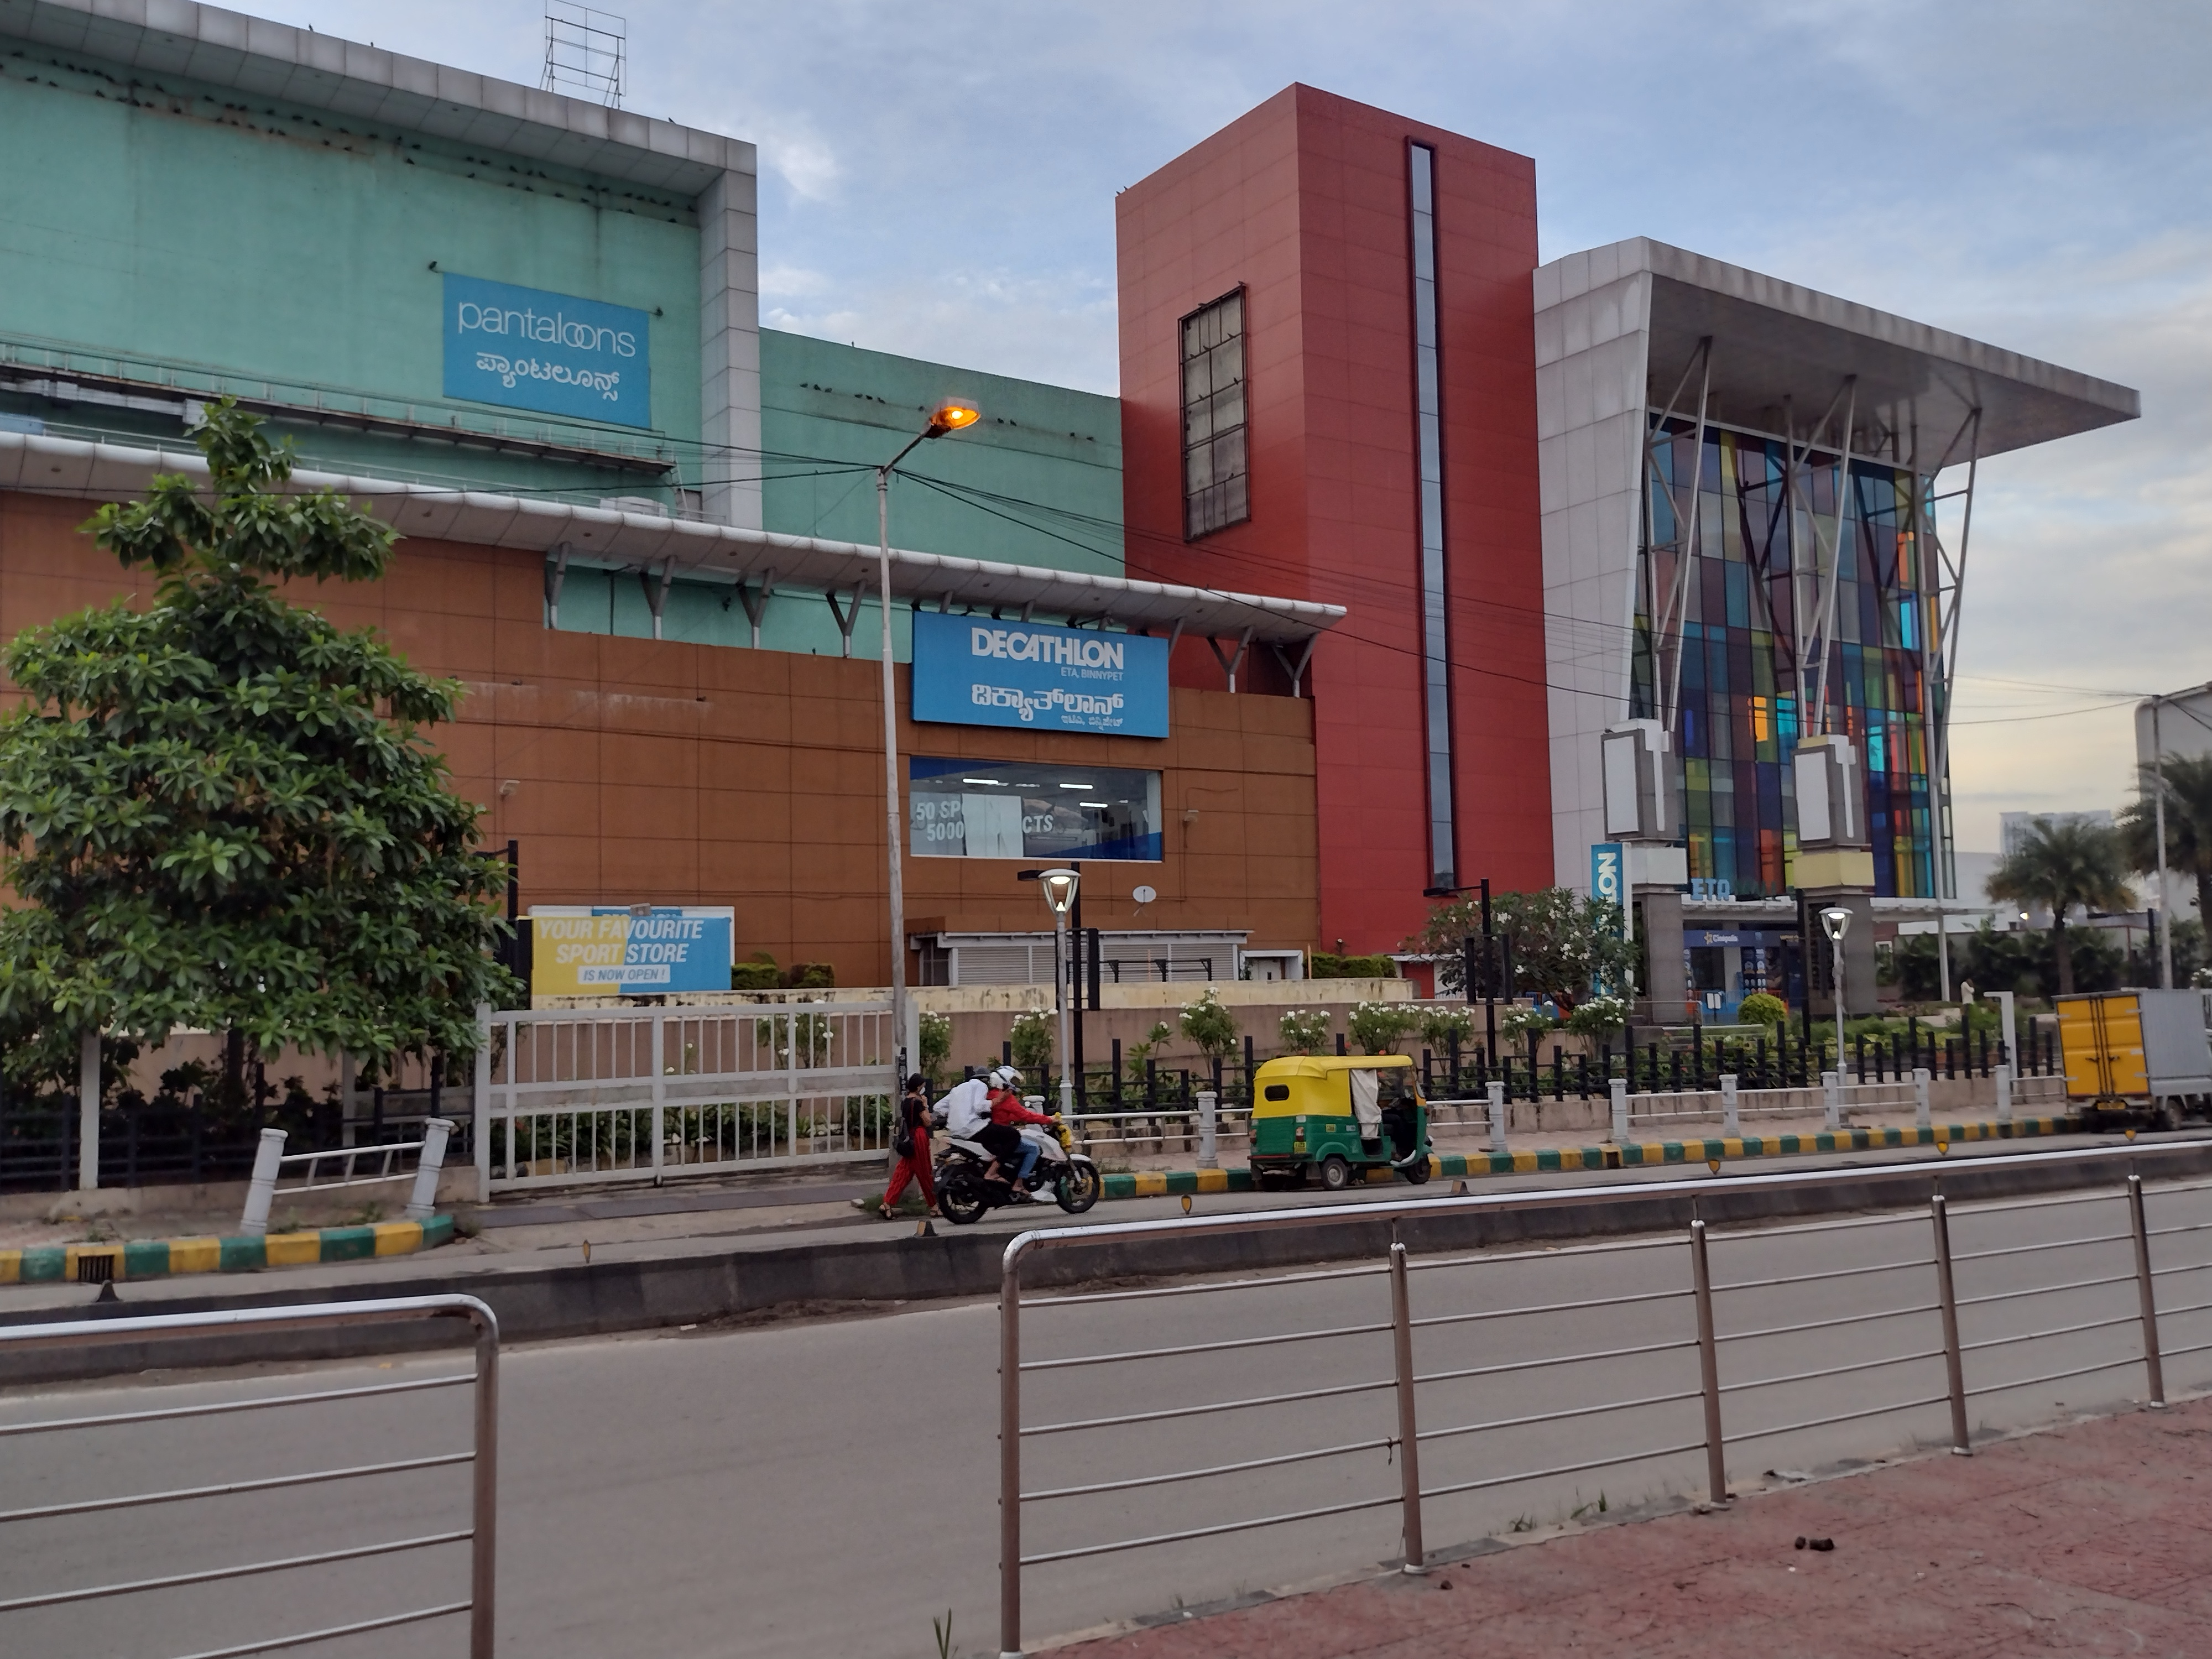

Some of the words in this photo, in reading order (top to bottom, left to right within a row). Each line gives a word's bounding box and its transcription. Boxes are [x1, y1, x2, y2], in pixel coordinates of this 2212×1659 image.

[455, 298, 639, 361] pantaloons
[474, 348, 622, 405] ಪ್ಯಾಂಟಲೂನ್ಸ್
[967, 625, 1125, 672] DECATHLON
[1057, 664, 1080, 680] ETA
[1078, 666, 1124, 684] BINNYPET
[968, 680, 1126, 724] ಣಕ್ಯಾತ್ಉನ
[1086, 713, 1125, 733] ಬನ್ನಿಪೇಟ್
[911, 799, 937, 825] 50
[937, 797, 962, 821] SP
[925, 817, 966, 846] 5000
[536, 913, 594, 942] YOUR
[595, 916, 706, 942] FAVOURITE
[553, 938, 622, 966] SPORT
[623, 938, 691, 967] STORE
[579, 965, 598, 984] IS
[594, 966, 627, 983] NOW
[624, 966, 661, 983] OPEN